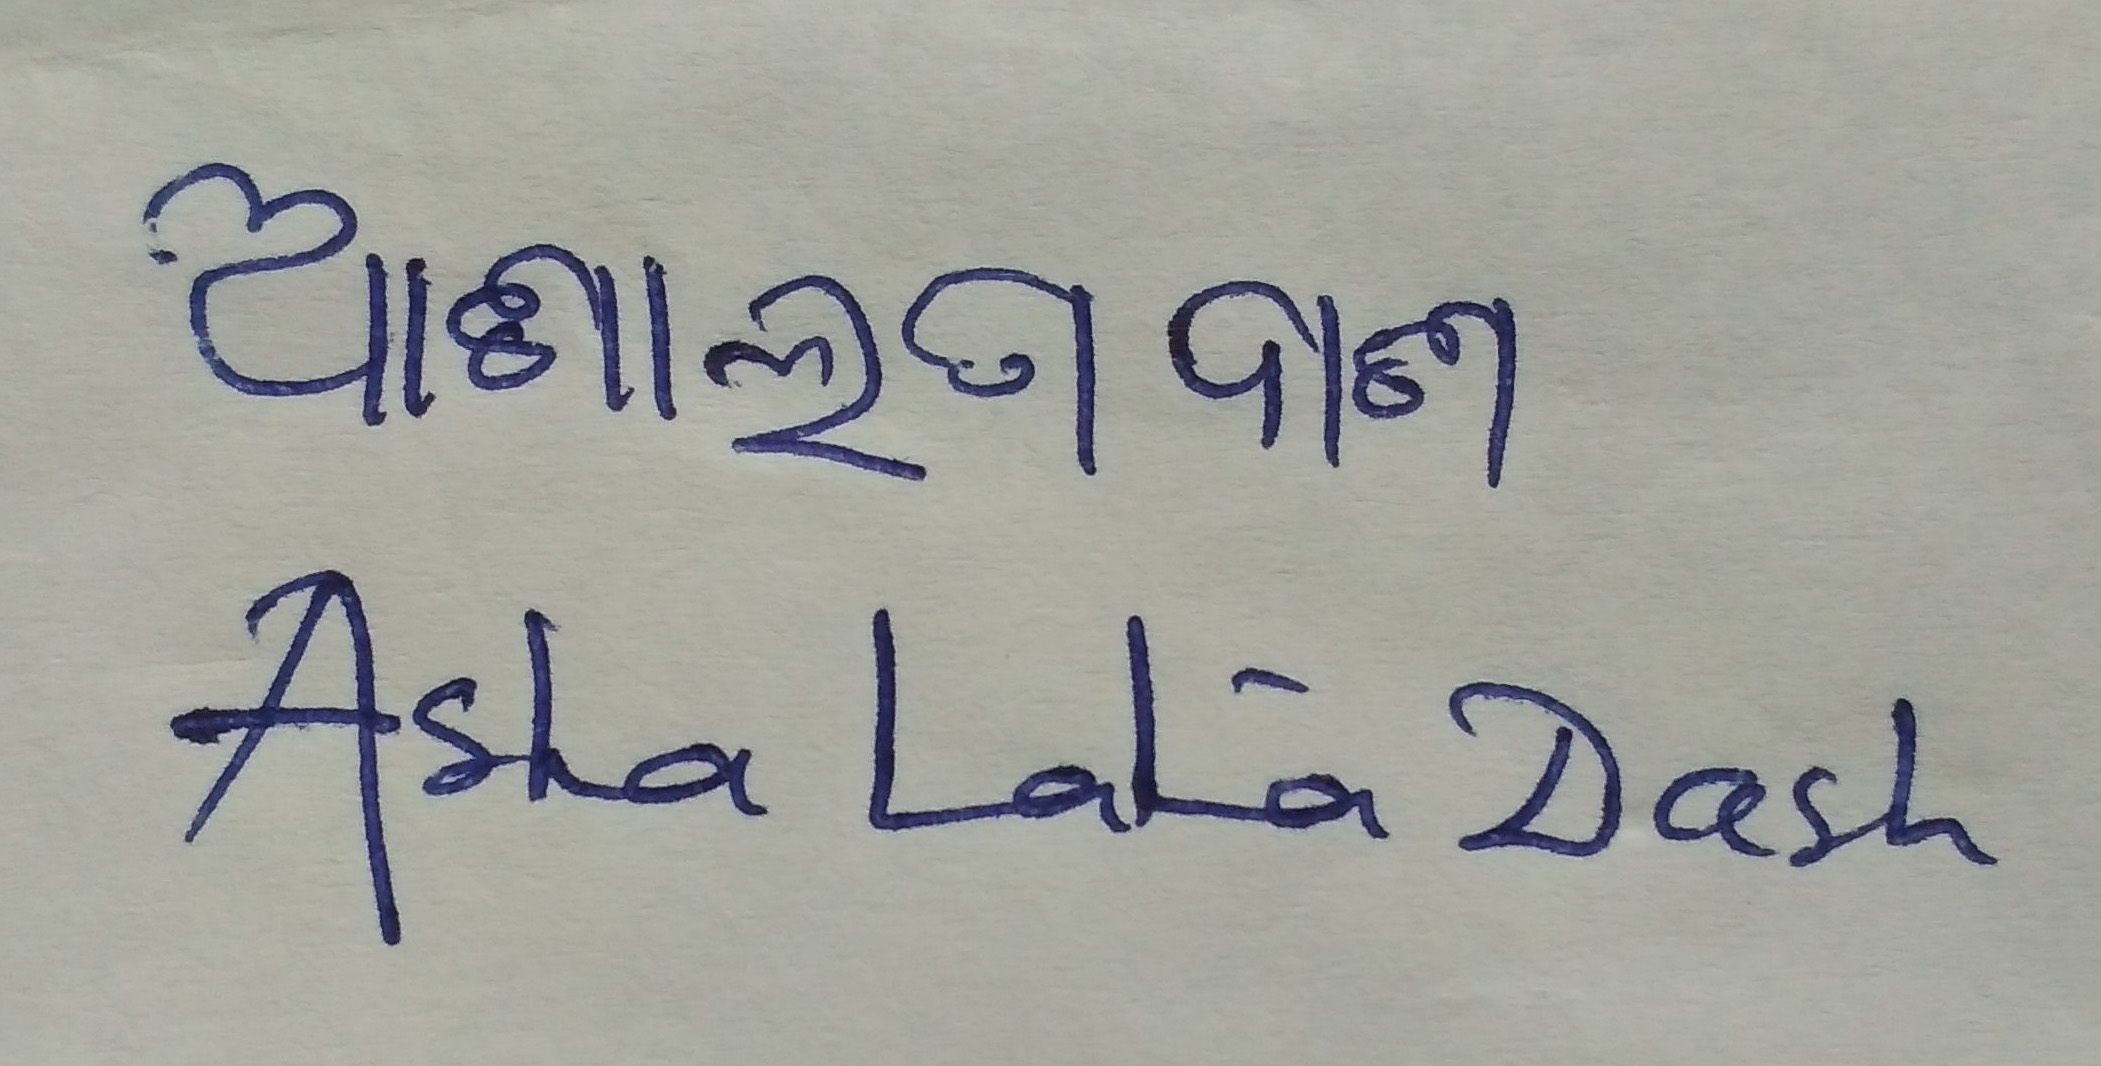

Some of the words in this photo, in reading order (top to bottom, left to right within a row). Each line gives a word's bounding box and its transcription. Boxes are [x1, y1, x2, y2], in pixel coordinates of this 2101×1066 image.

[164, 564, 771, 949] Asha
[864, 601, 1393, 849] LaLa
[1447, 674, 2006, 869] Dash